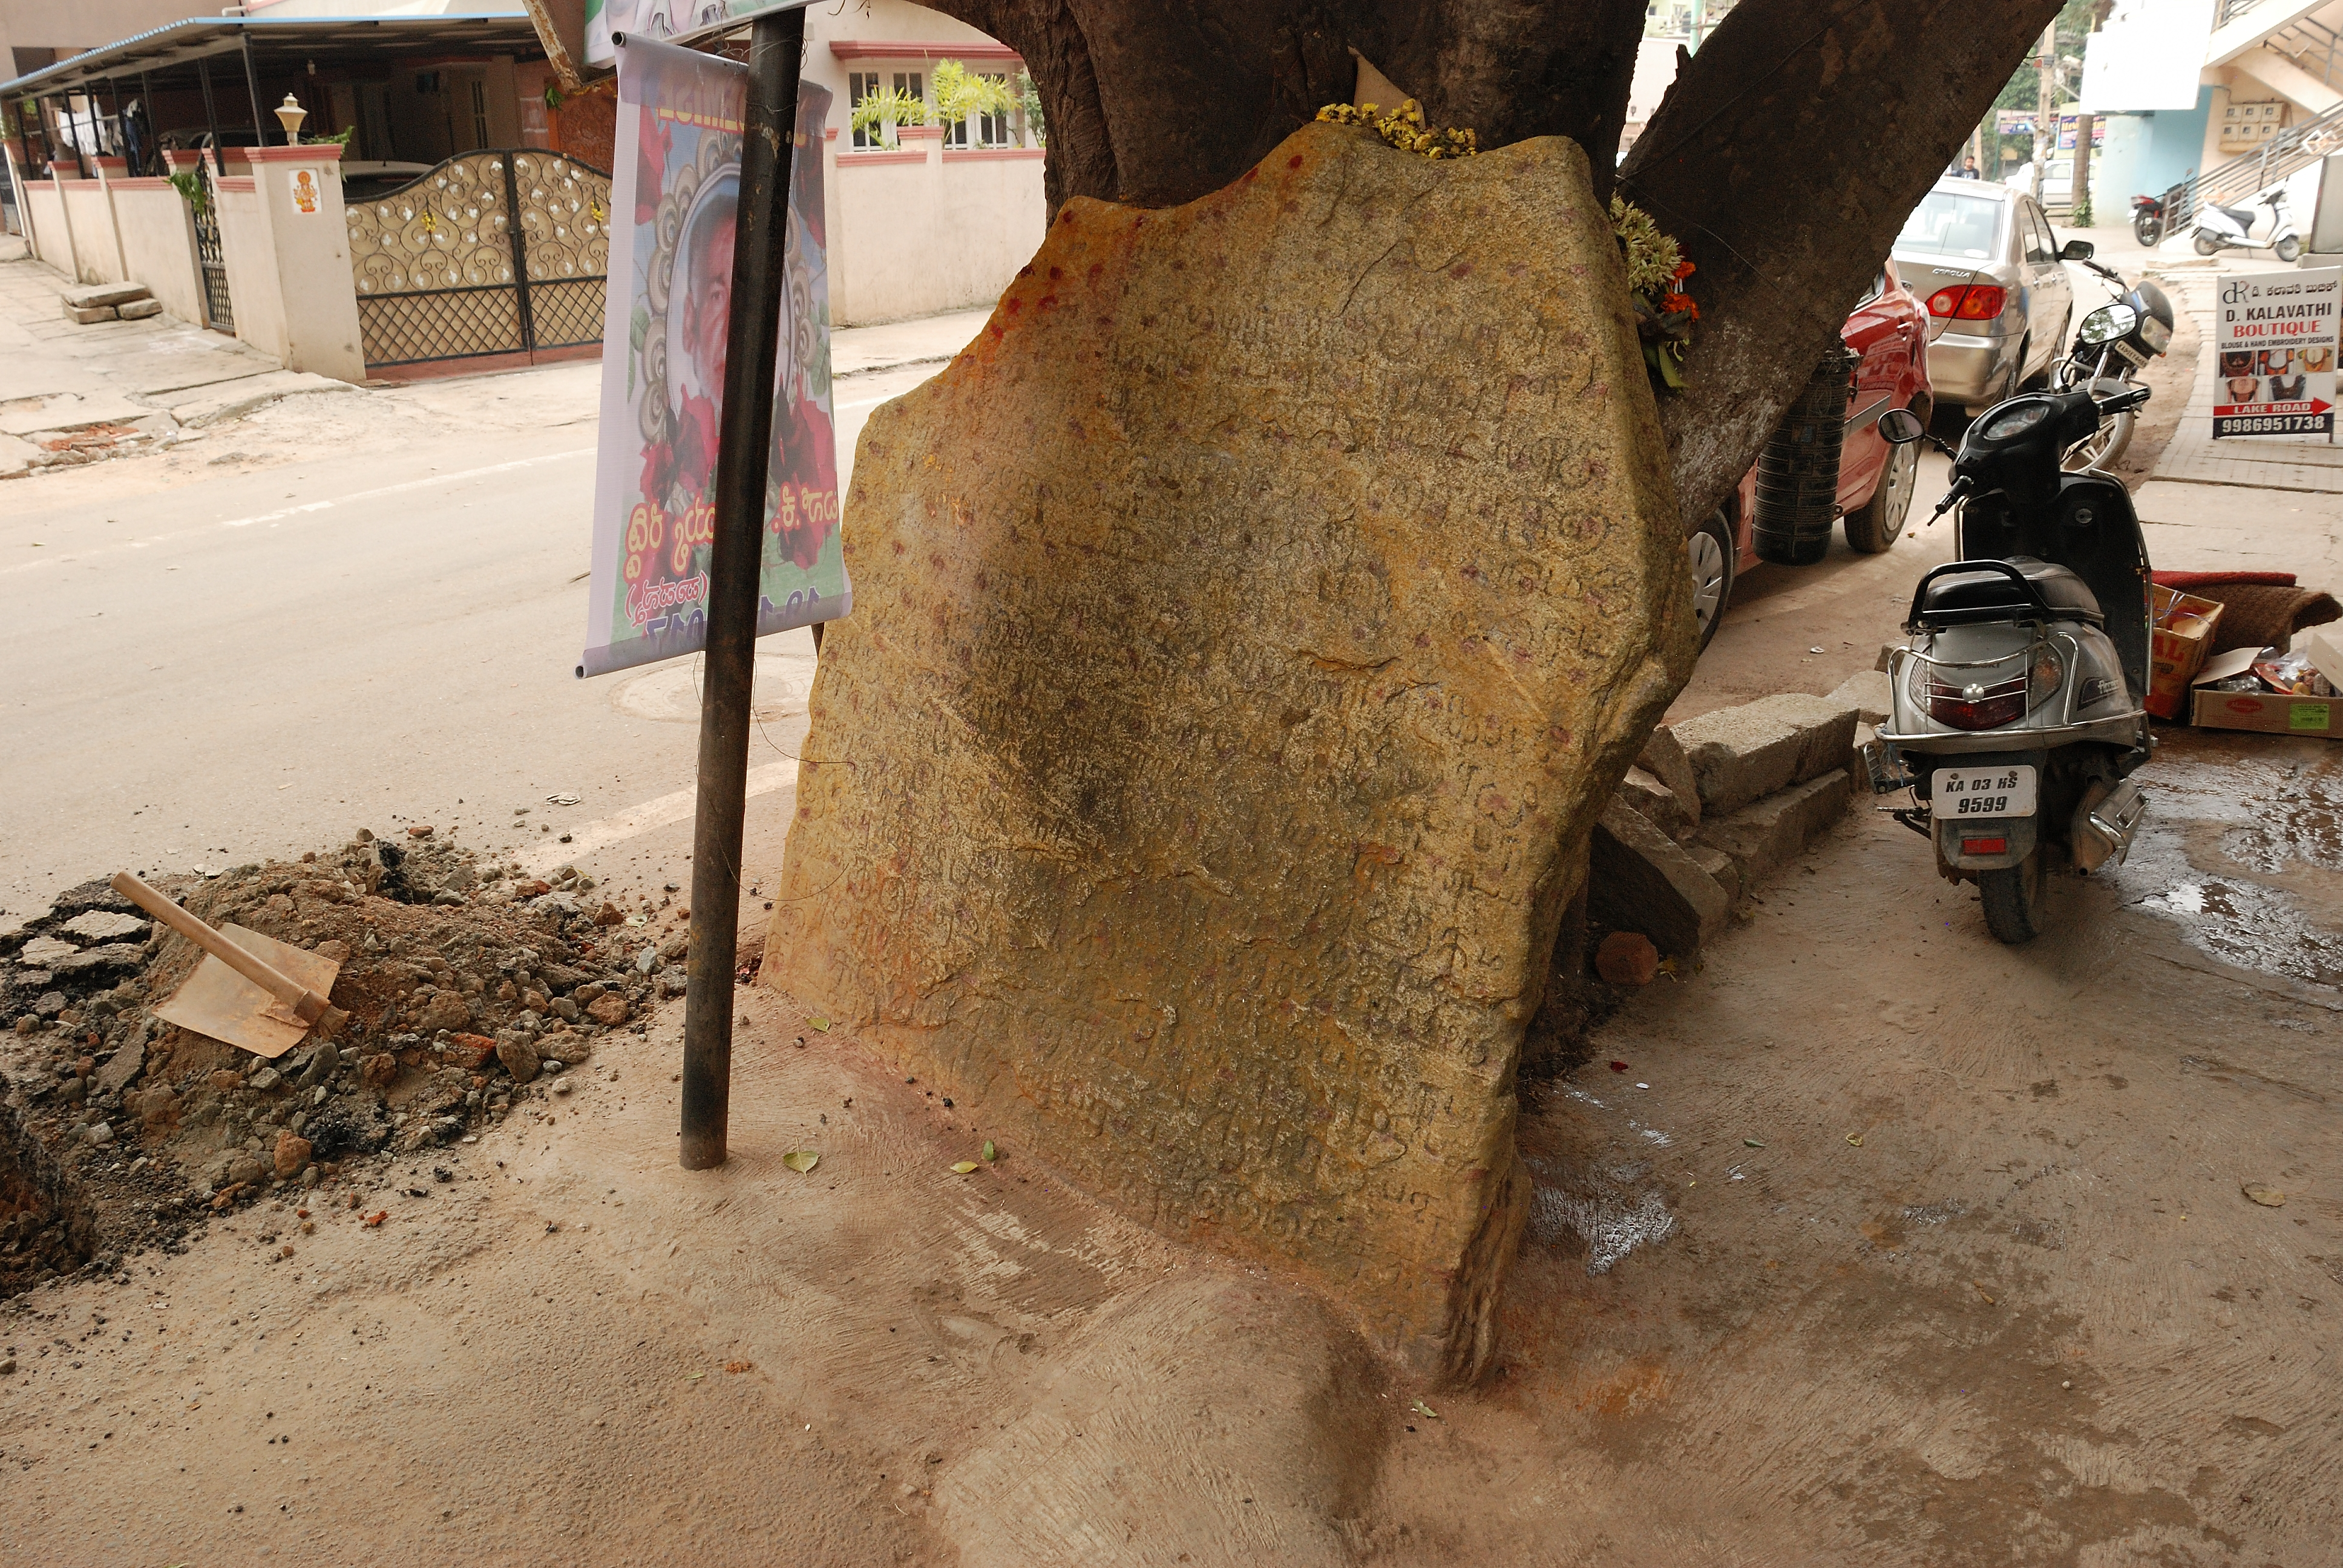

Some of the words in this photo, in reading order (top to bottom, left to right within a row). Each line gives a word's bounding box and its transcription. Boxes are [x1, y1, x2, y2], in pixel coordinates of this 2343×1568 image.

[2263, 280, 2304, 298] ಕಲಾವತಿ
[2304, 278, 2341, 294] ಬುಱಕ್
[2223, 301, 2333, 324] D.KALAVATHI
[2229, 315, 2323, 340] BOUTIQUE
[2218, 337, 2244, 349] BLOUSE
[2249, 337, 2268, 348] HAND
[2266, 332, 2309, 348] EMBROIDERY
[2307, 333, 2335, 347] DESIGNS
[2232, 402, 2270, 415] LAKE
[2270, 400, 2312, 415] ROAD
[2220, 411, 2327, 436] 9986951738
[1942, 769, 2021, 796] KA03HS
[1955, 790, 2009, 818] 9599